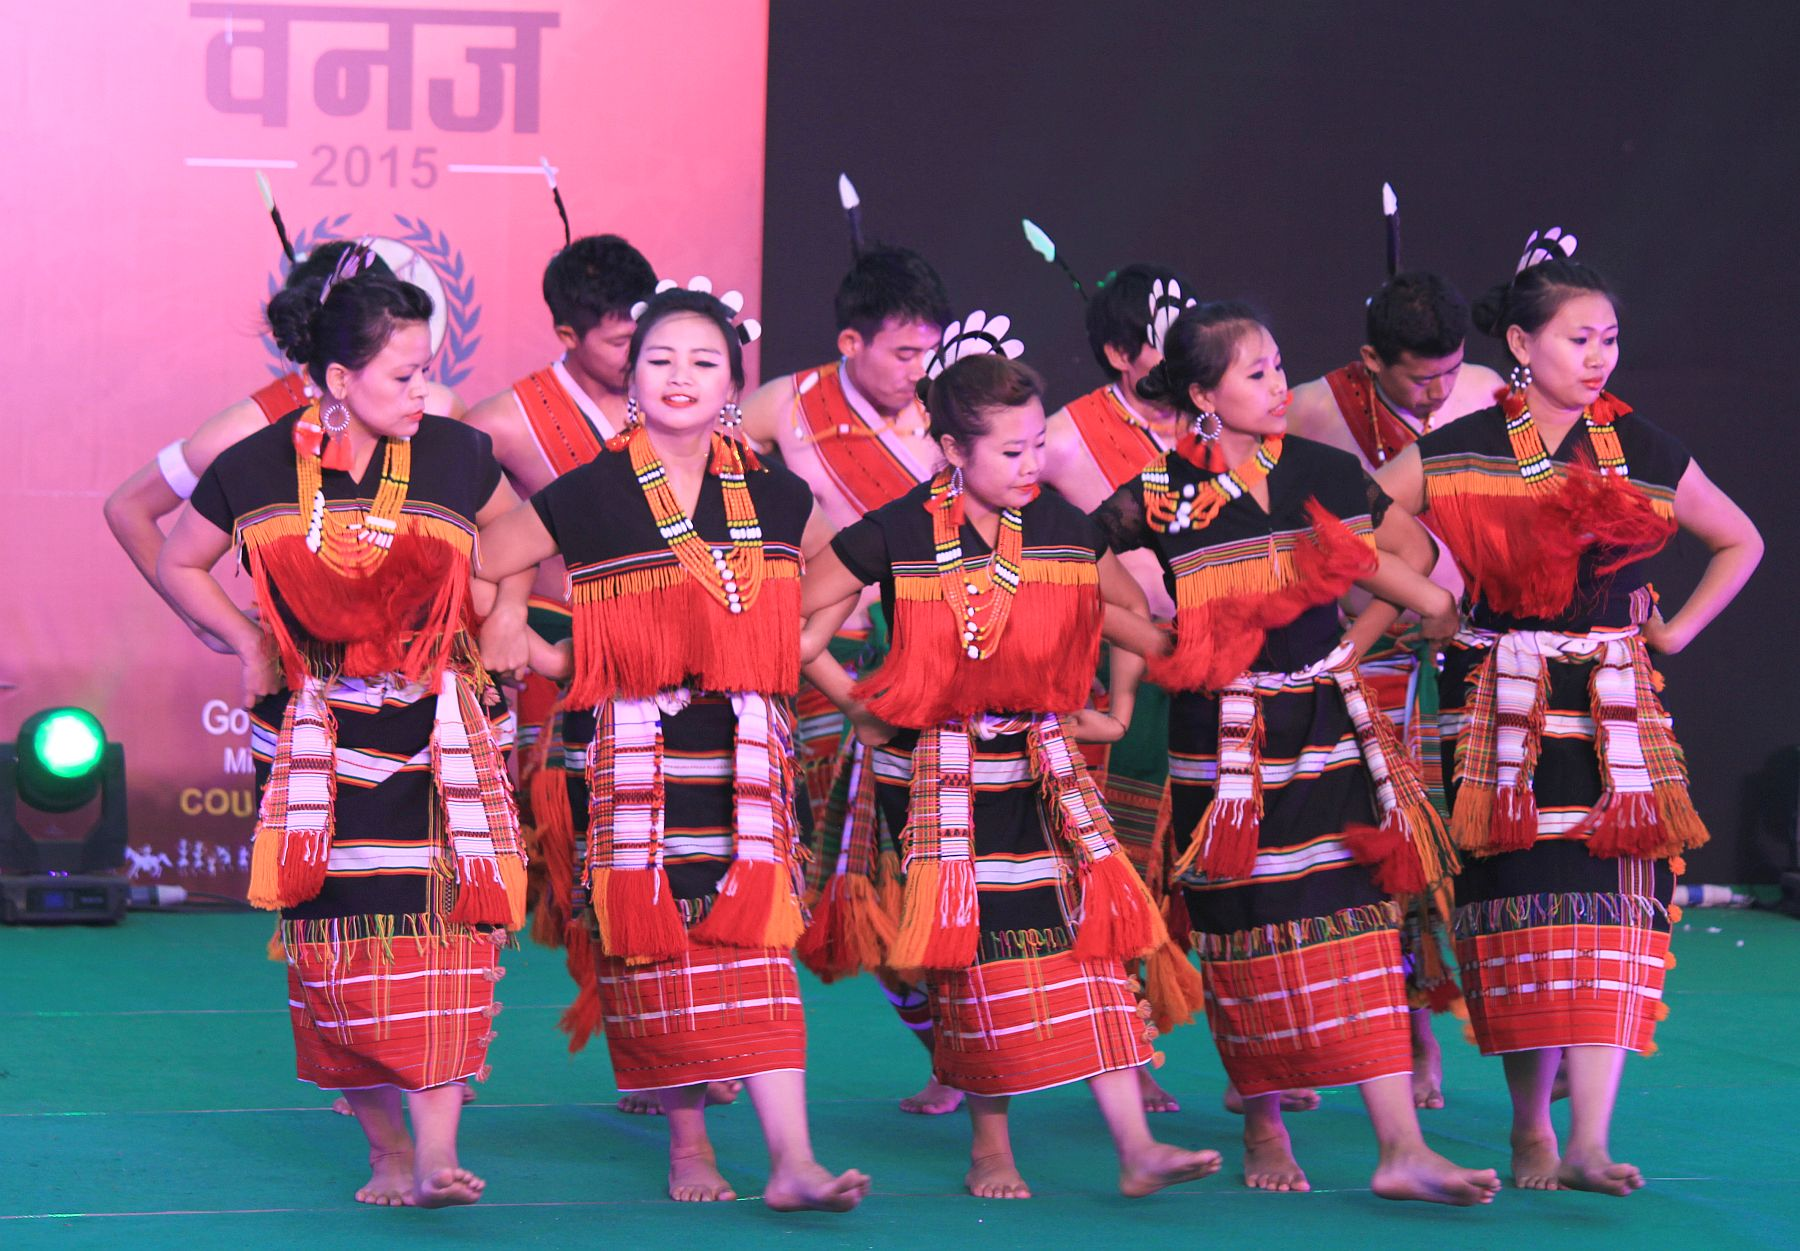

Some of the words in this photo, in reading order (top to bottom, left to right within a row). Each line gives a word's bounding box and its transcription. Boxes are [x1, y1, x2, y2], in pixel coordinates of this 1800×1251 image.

[191, 1, 561, 137] वनज
[310, 143, 443, 191] 2015